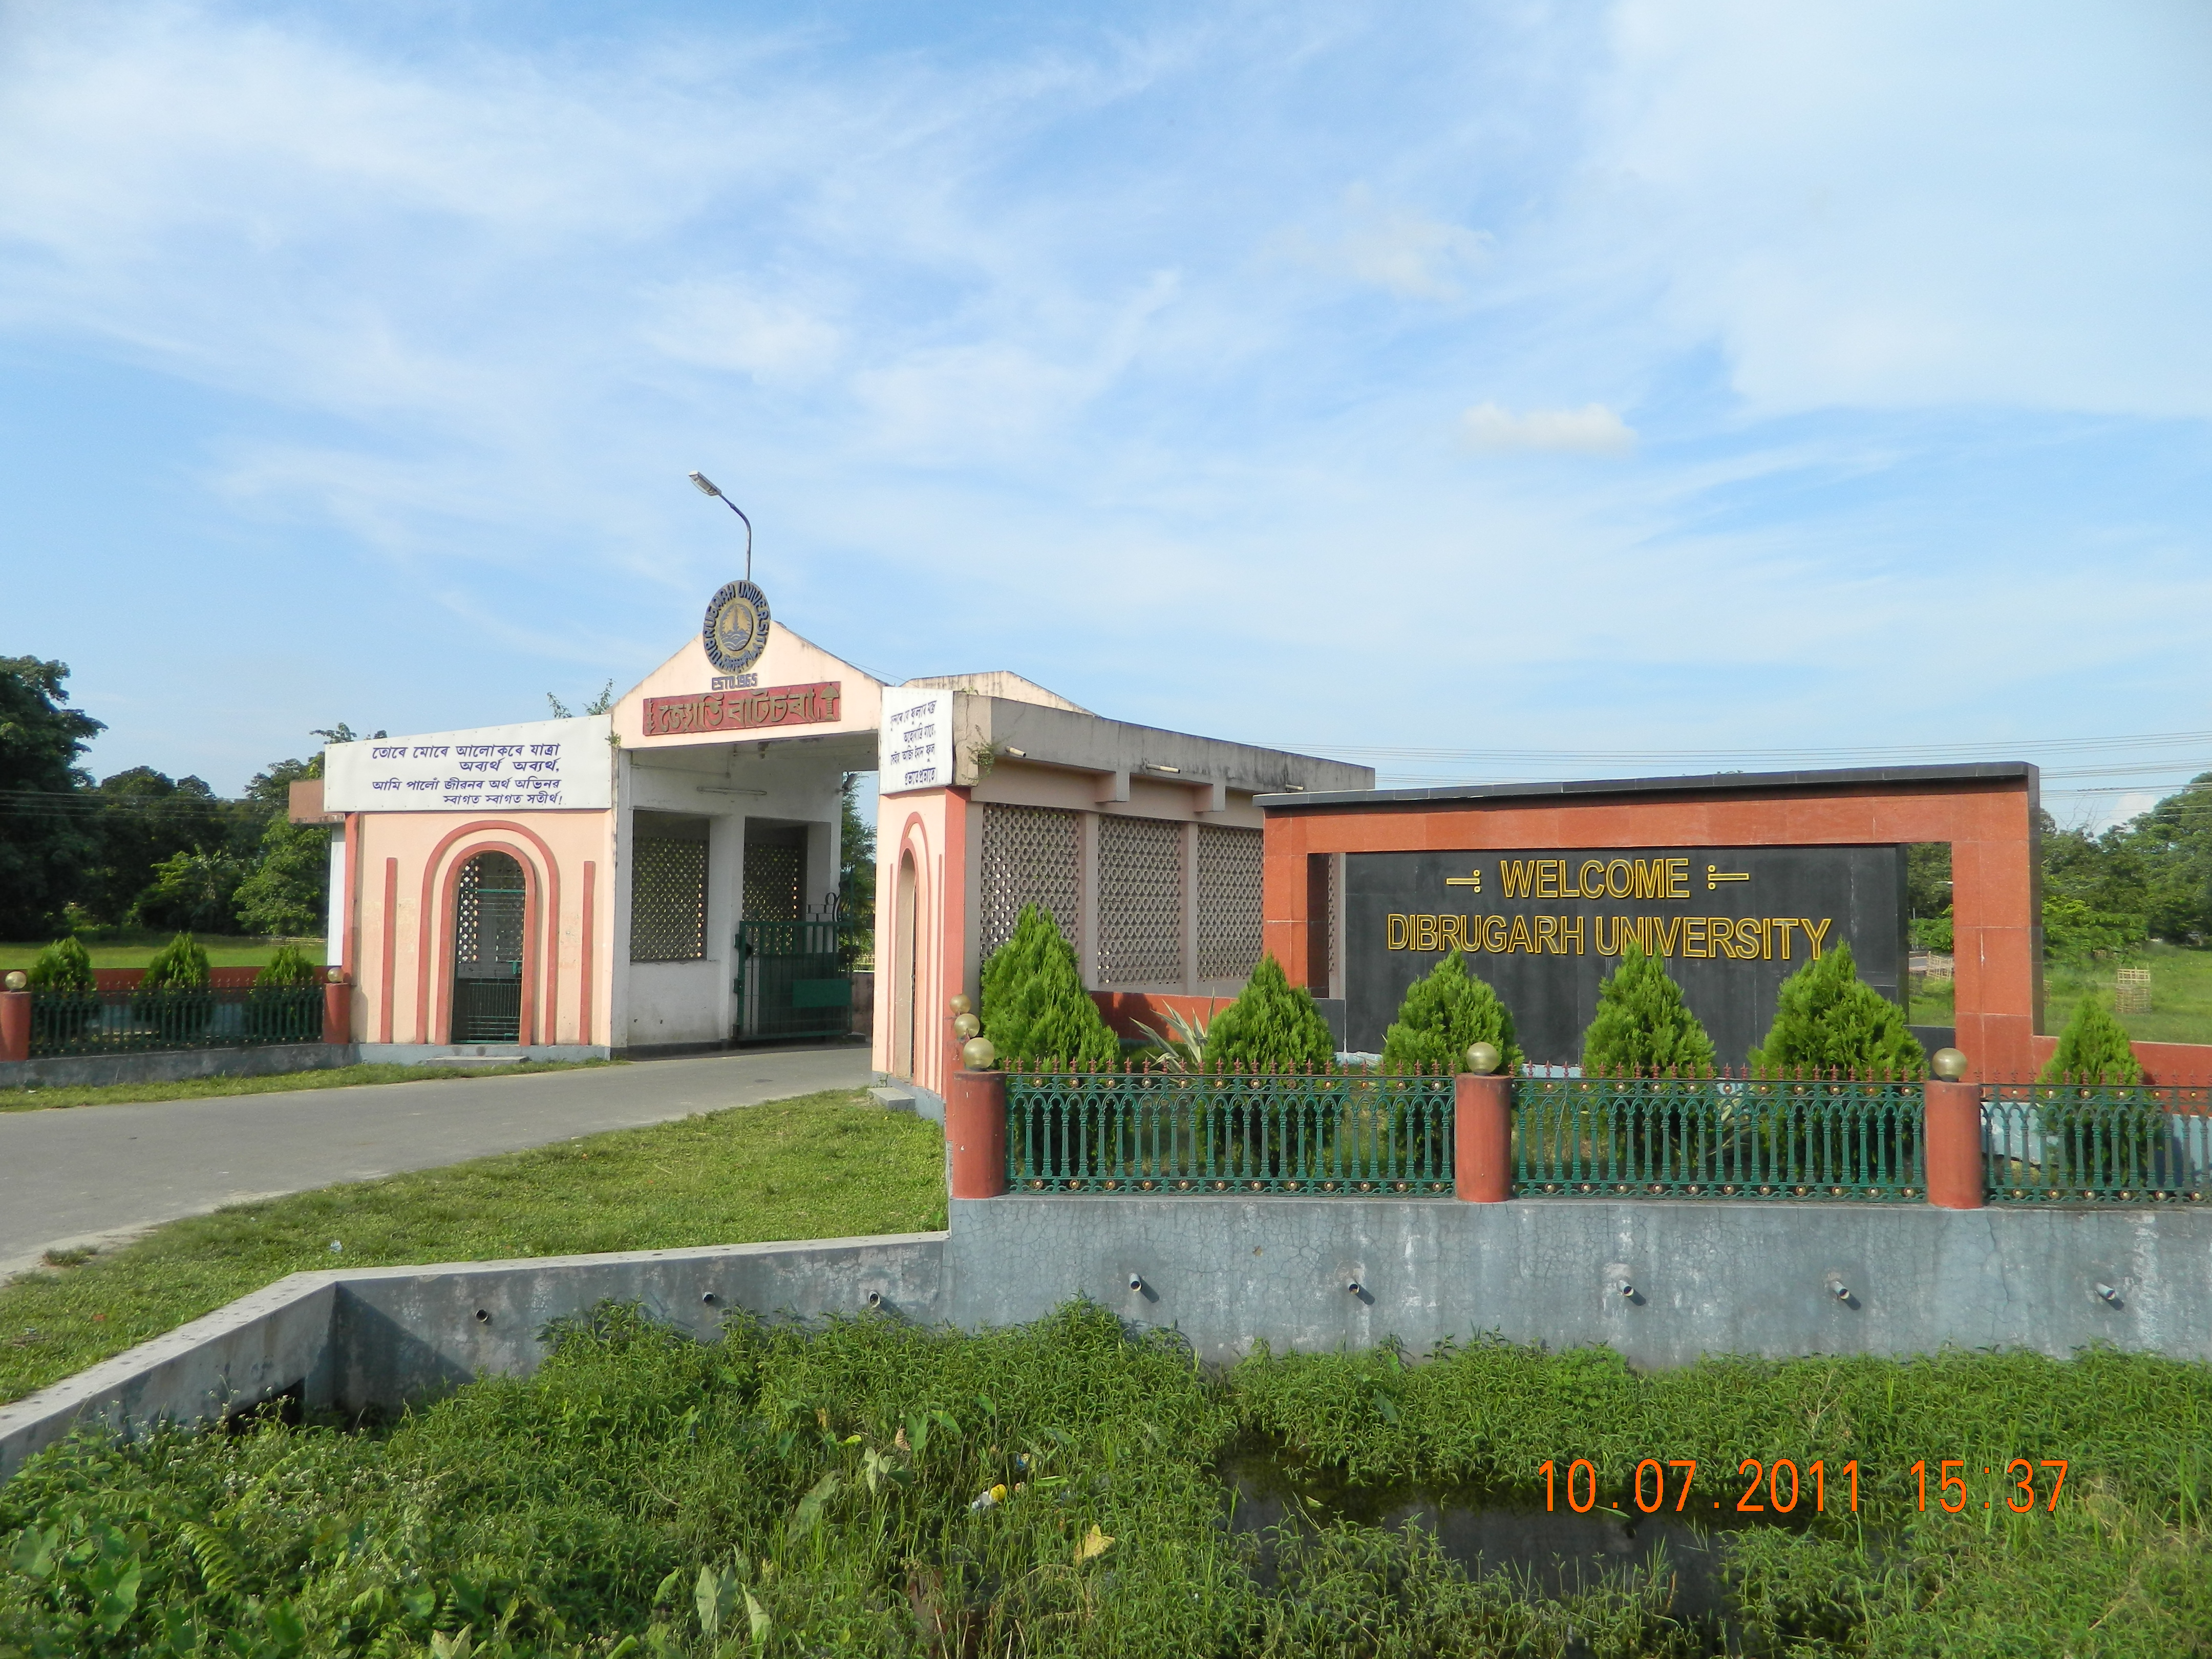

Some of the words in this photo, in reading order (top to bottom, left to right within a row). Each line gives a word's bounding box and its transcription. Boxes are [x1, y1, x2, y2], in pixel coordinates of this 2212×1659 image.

[698, 580, 740, 640] RUGARH
[737, 578, 772, 658] UNIVERSITY
[710, 666, 760, 693] ESTD.1965
[726, 683, 821, 729] বাটচৰী
[925, 697, 942, 718] মন্ত্র
[901, 721, 926, 747] অহেনরি
[922, 718, 938, 738] যাতে,
[369, 741, 410, 762] তোকে
[412, 741, 453, 761] মোৰে
[451, 740, 528, 759] আলোকৰে
[525, 737, 563, 760] যাত্রা
[458, 755, 508, 774] অব্যৰ্থ
[512, 754, 564, 775] অব্যৰ্থ
[371, 771, 405, 795] আমি
[405, 772, 445, 795] পালোঁ
[442, 772, 486, 794] জীৱনৰ
[487, 775, 516, 793] অৰ্থ
[515, 772, 565, 791] অভিনর
[441, 790, 485, 807] স্বাগত
[483, 791, 525, 807] স্বাগত
[524, 788, 563, 808] সতীৰ্থ
[1497, 855, 1692, 901] WELCOME
[1385, 910, 1586, 956] DIBRUGARH
[1593, 911, 1832, 961] UNIVERSITY
[1530, 1447, 1867, 1519] 10.07.2011
[1907, 1453, 2077, 1516] 15:37